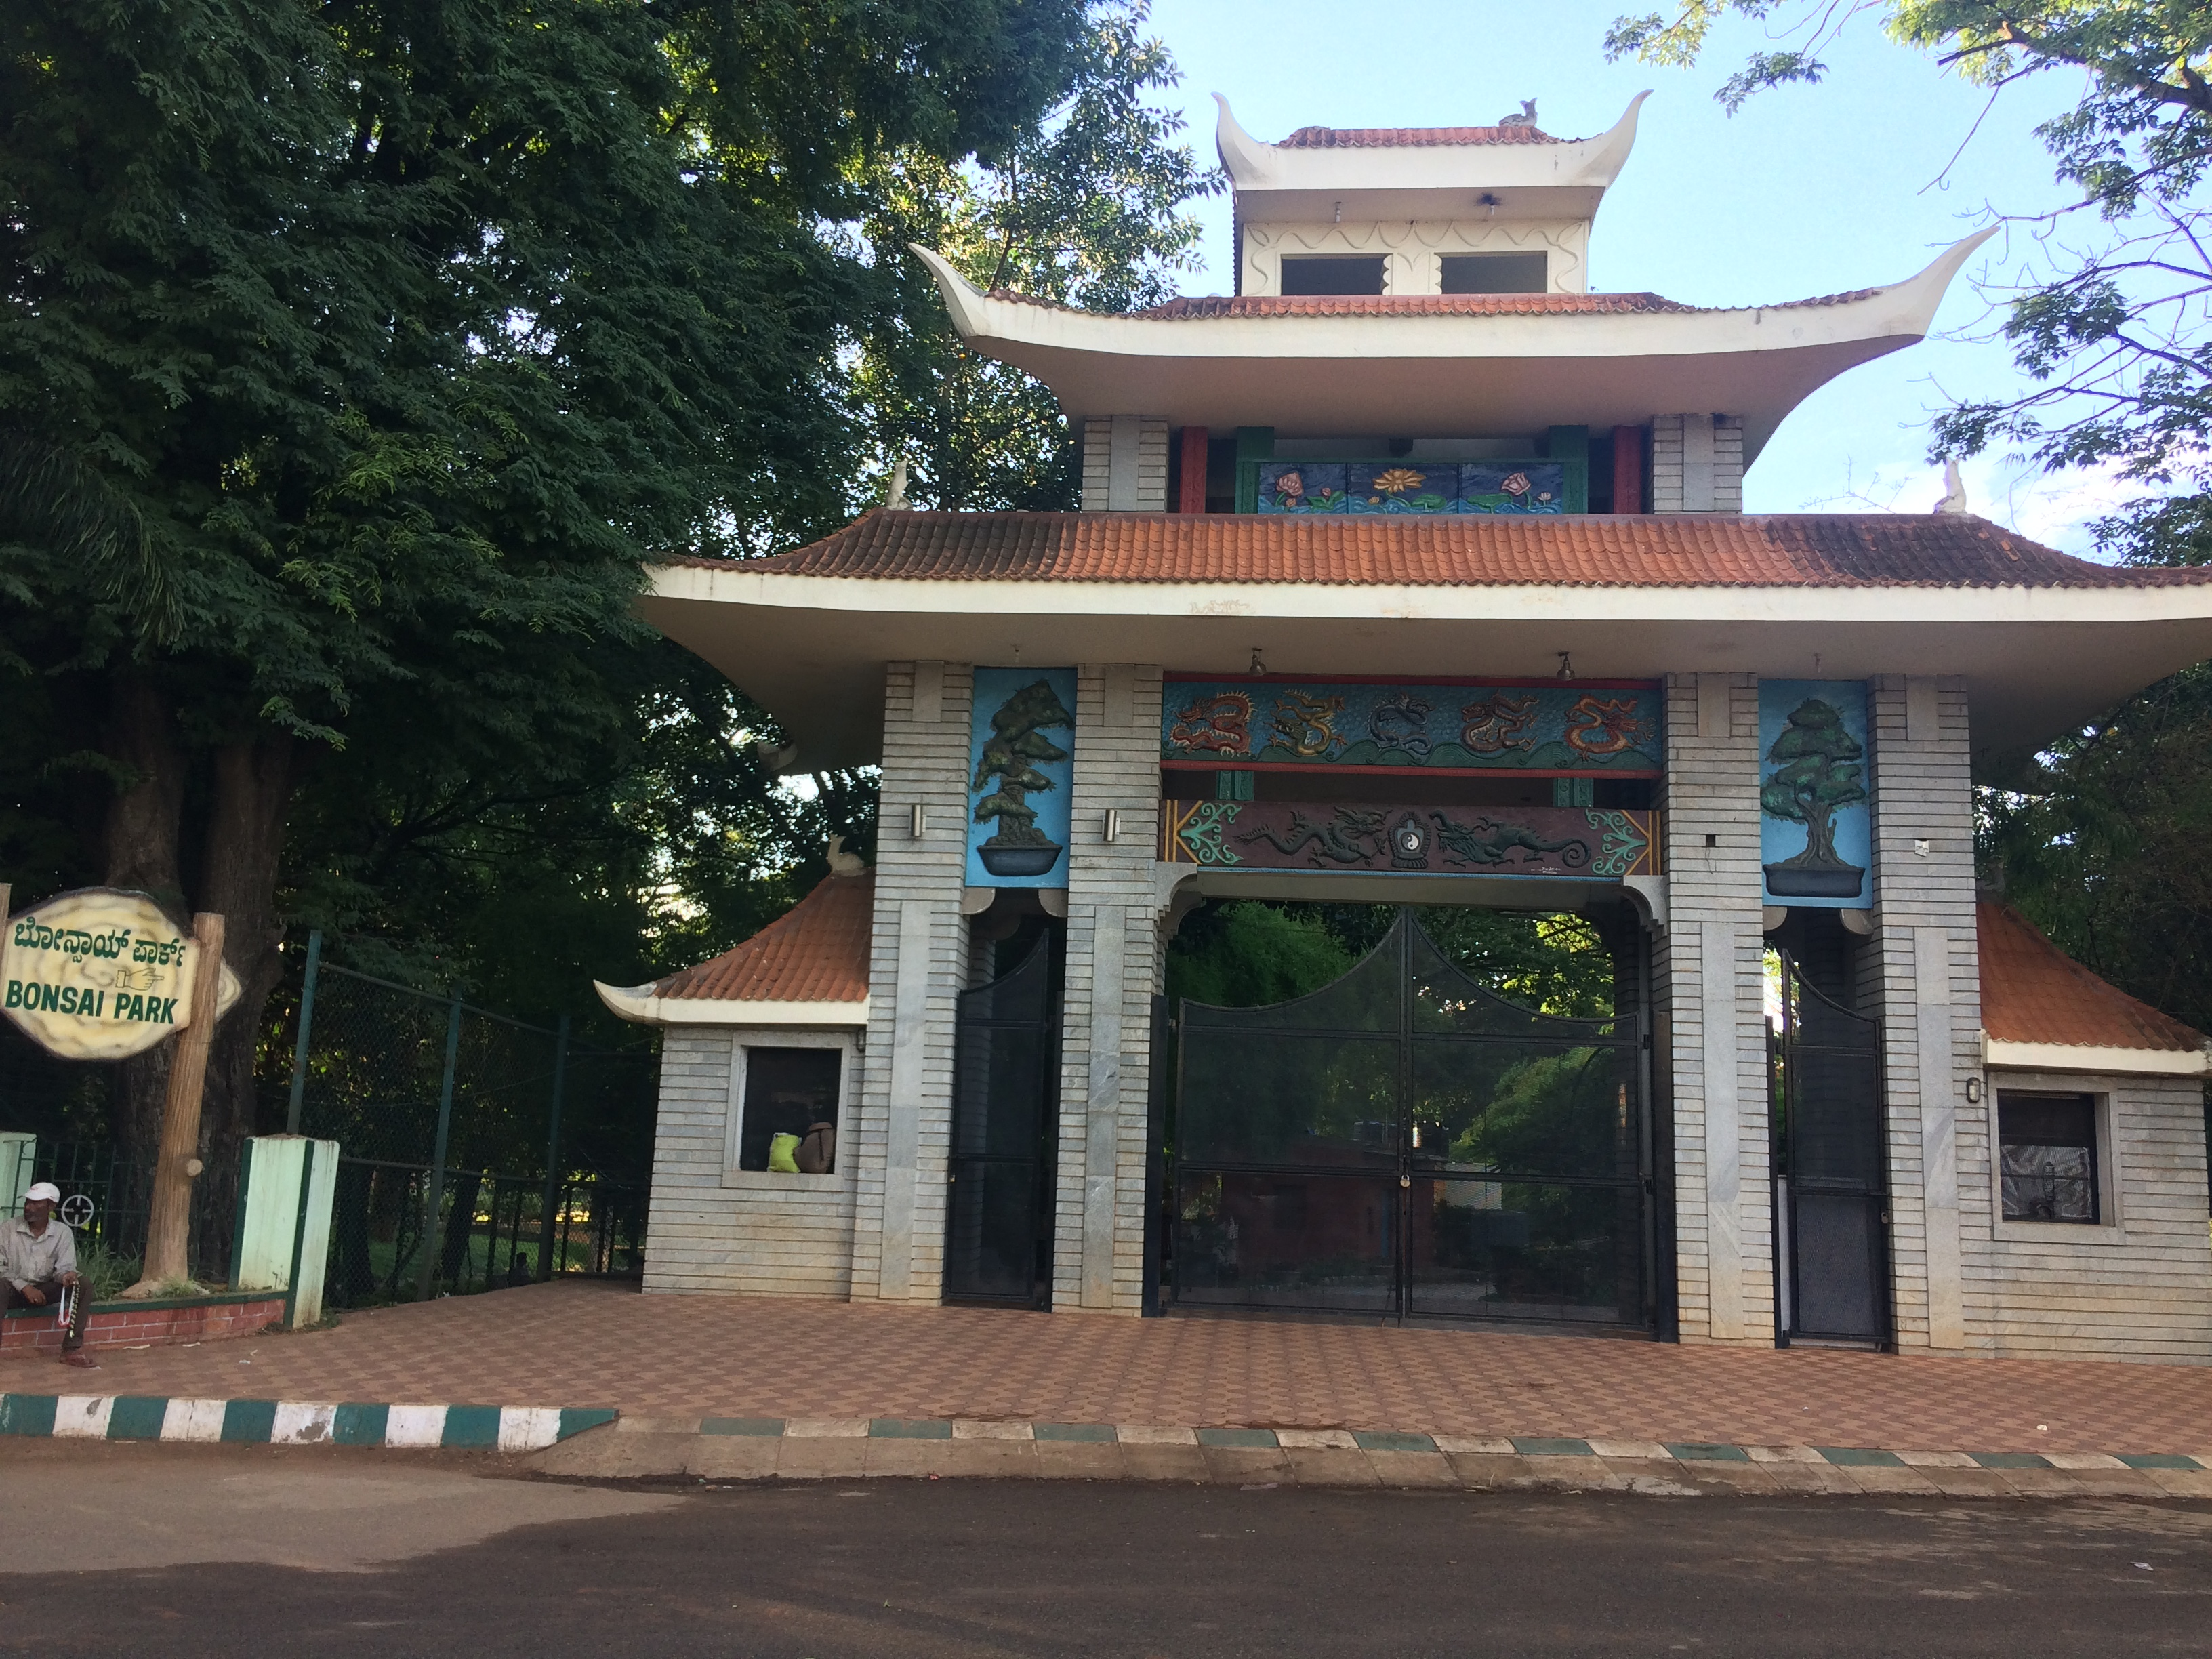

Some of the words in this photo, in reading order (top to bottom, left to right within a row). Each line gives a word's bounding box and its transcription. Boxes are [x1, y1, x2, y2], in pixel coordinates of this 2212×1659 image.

[7, 913, 131, 966] ಬೋನ್ಸಾಯ್
[129, 937, 188, 968] ಪಾಕ್೯
[3, 975, 108, 1020] BONSAI
[109, 992, 180, 1027] PARK